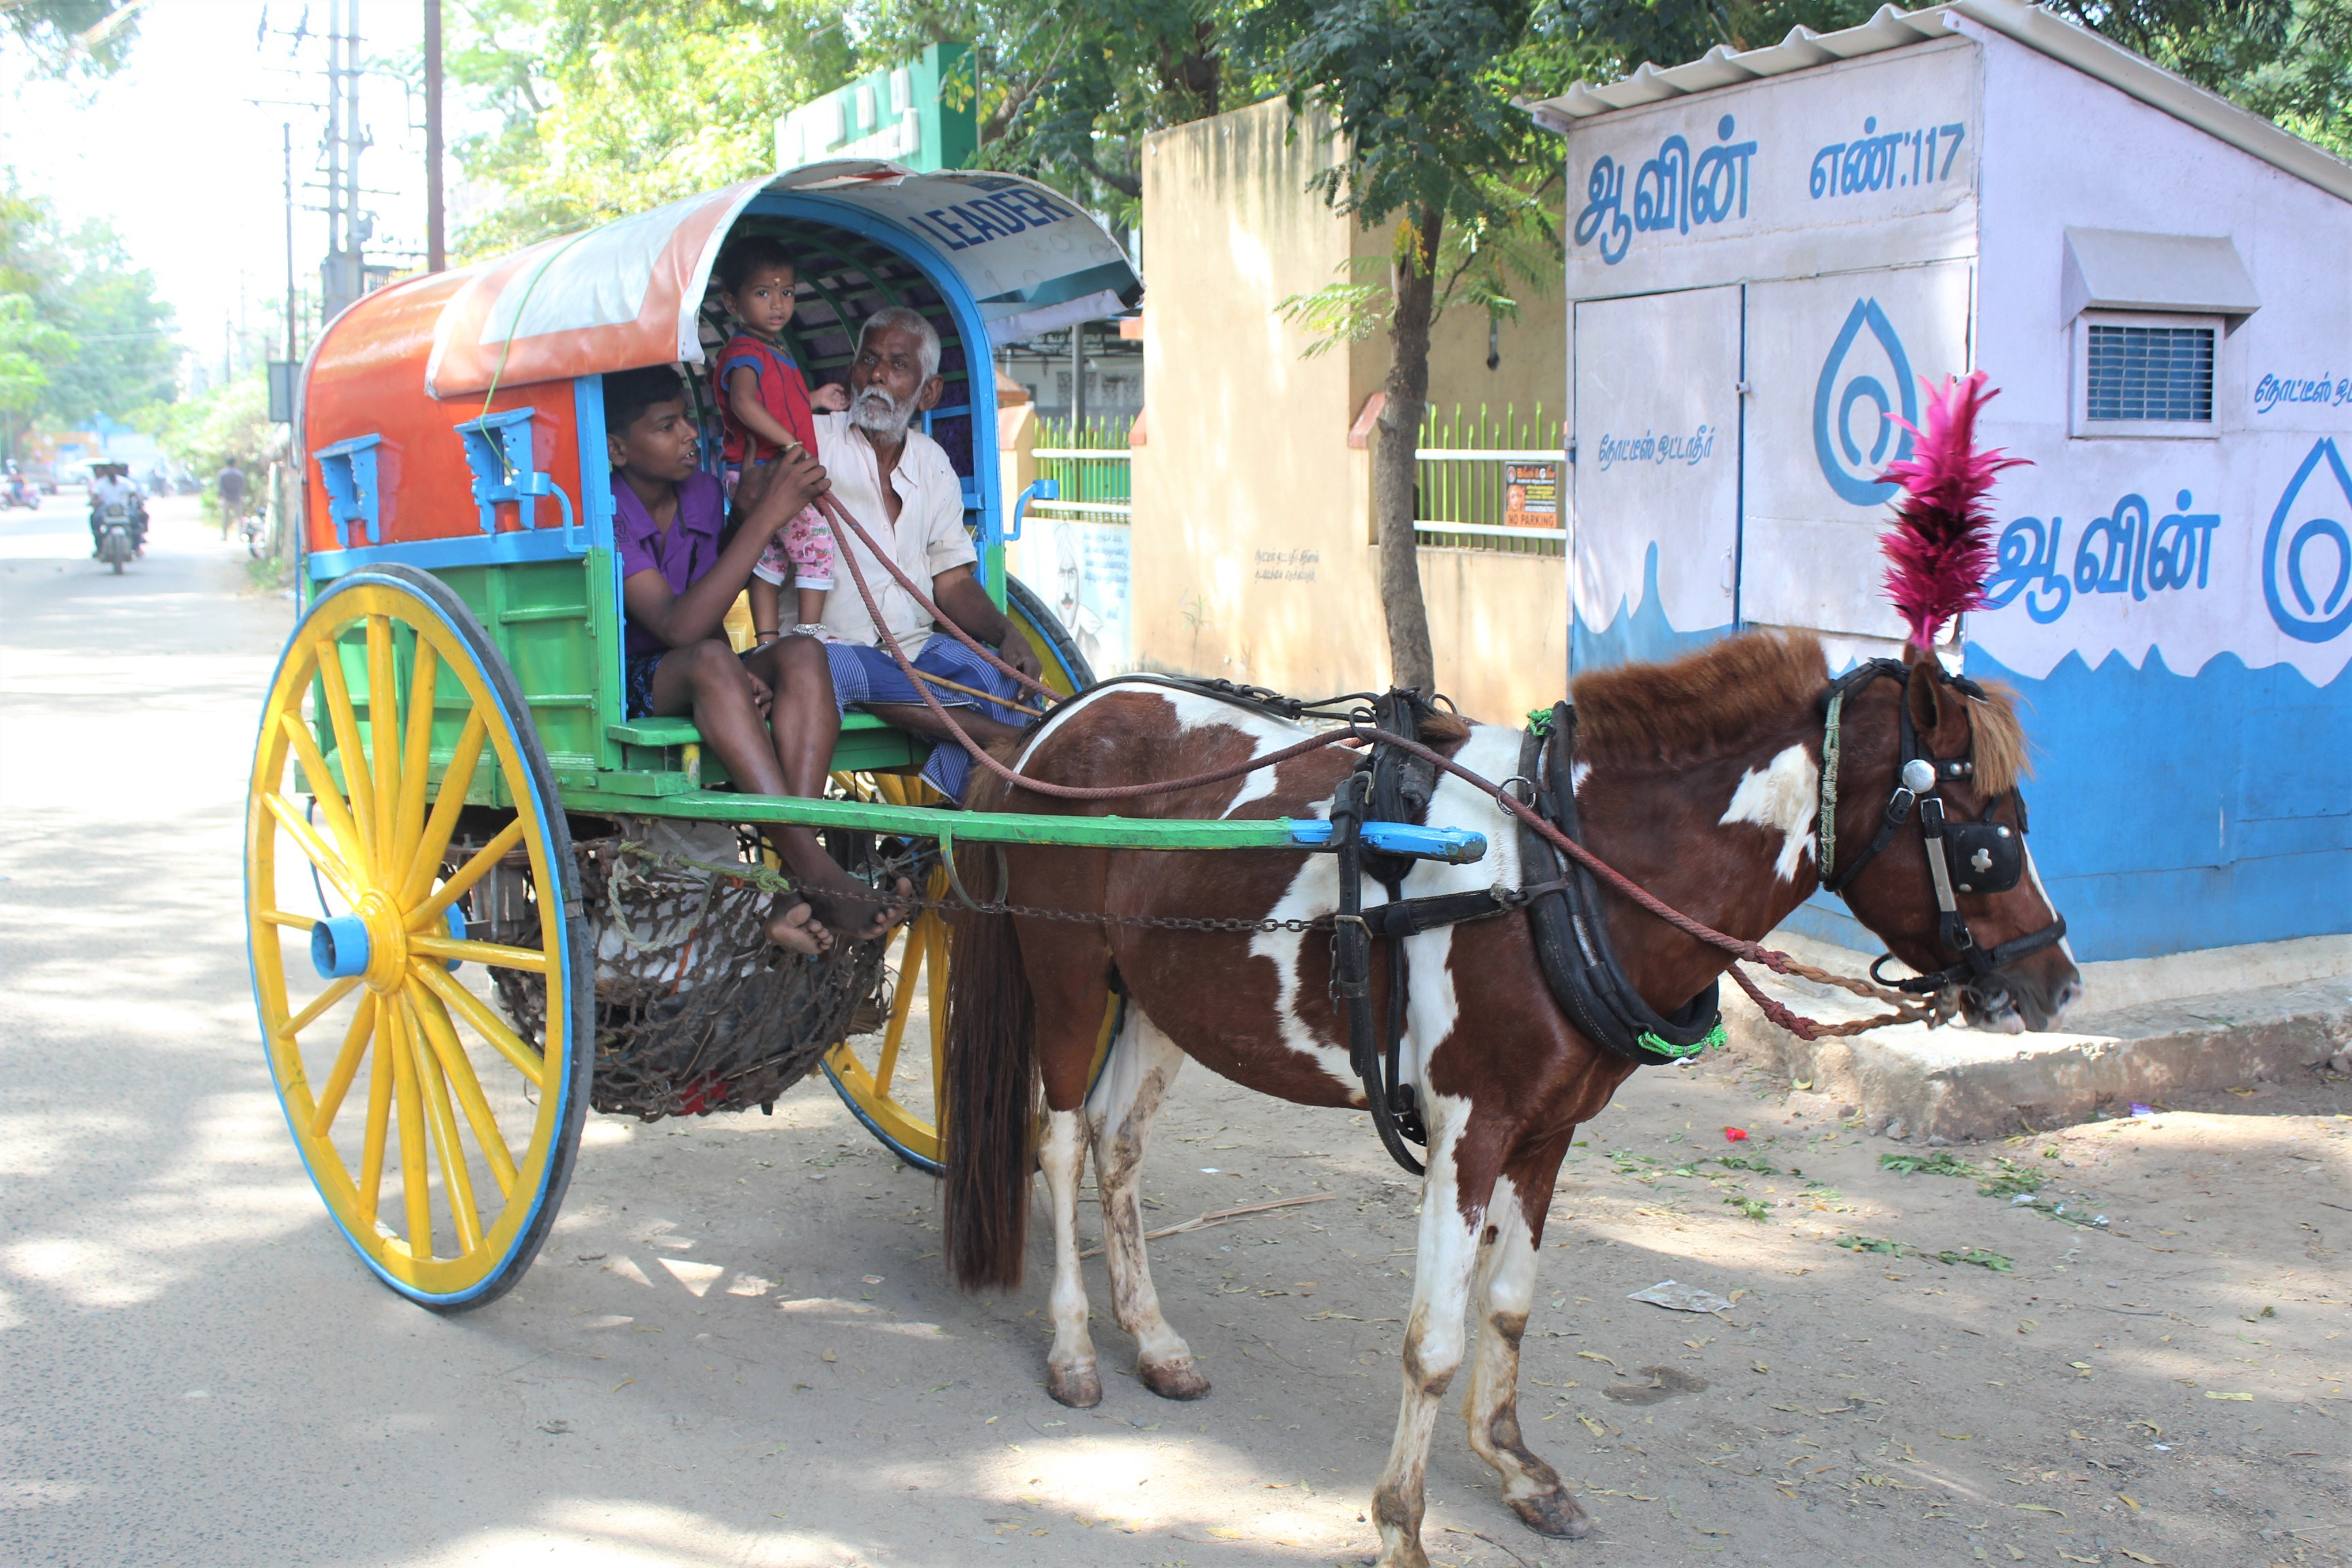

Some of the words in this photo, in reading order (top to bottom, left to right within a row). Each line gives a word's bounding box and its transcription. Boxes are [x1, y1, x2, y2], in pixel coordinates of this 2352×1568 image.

[902, 174, 1082, 260] LEADER
[1569, 115, 1764, 271] ஆவின்
[1799, 112, 1970, 202] எண்:117
[2249, 365, 2336, 416] நோட்டீஸ்
[1592, 425, 1661, 473] நோட்டீஸ்
[1653, 419, 1718, 469] ஒட்டாதீர்
[1976, 484, 2228, 628] ஆவின்